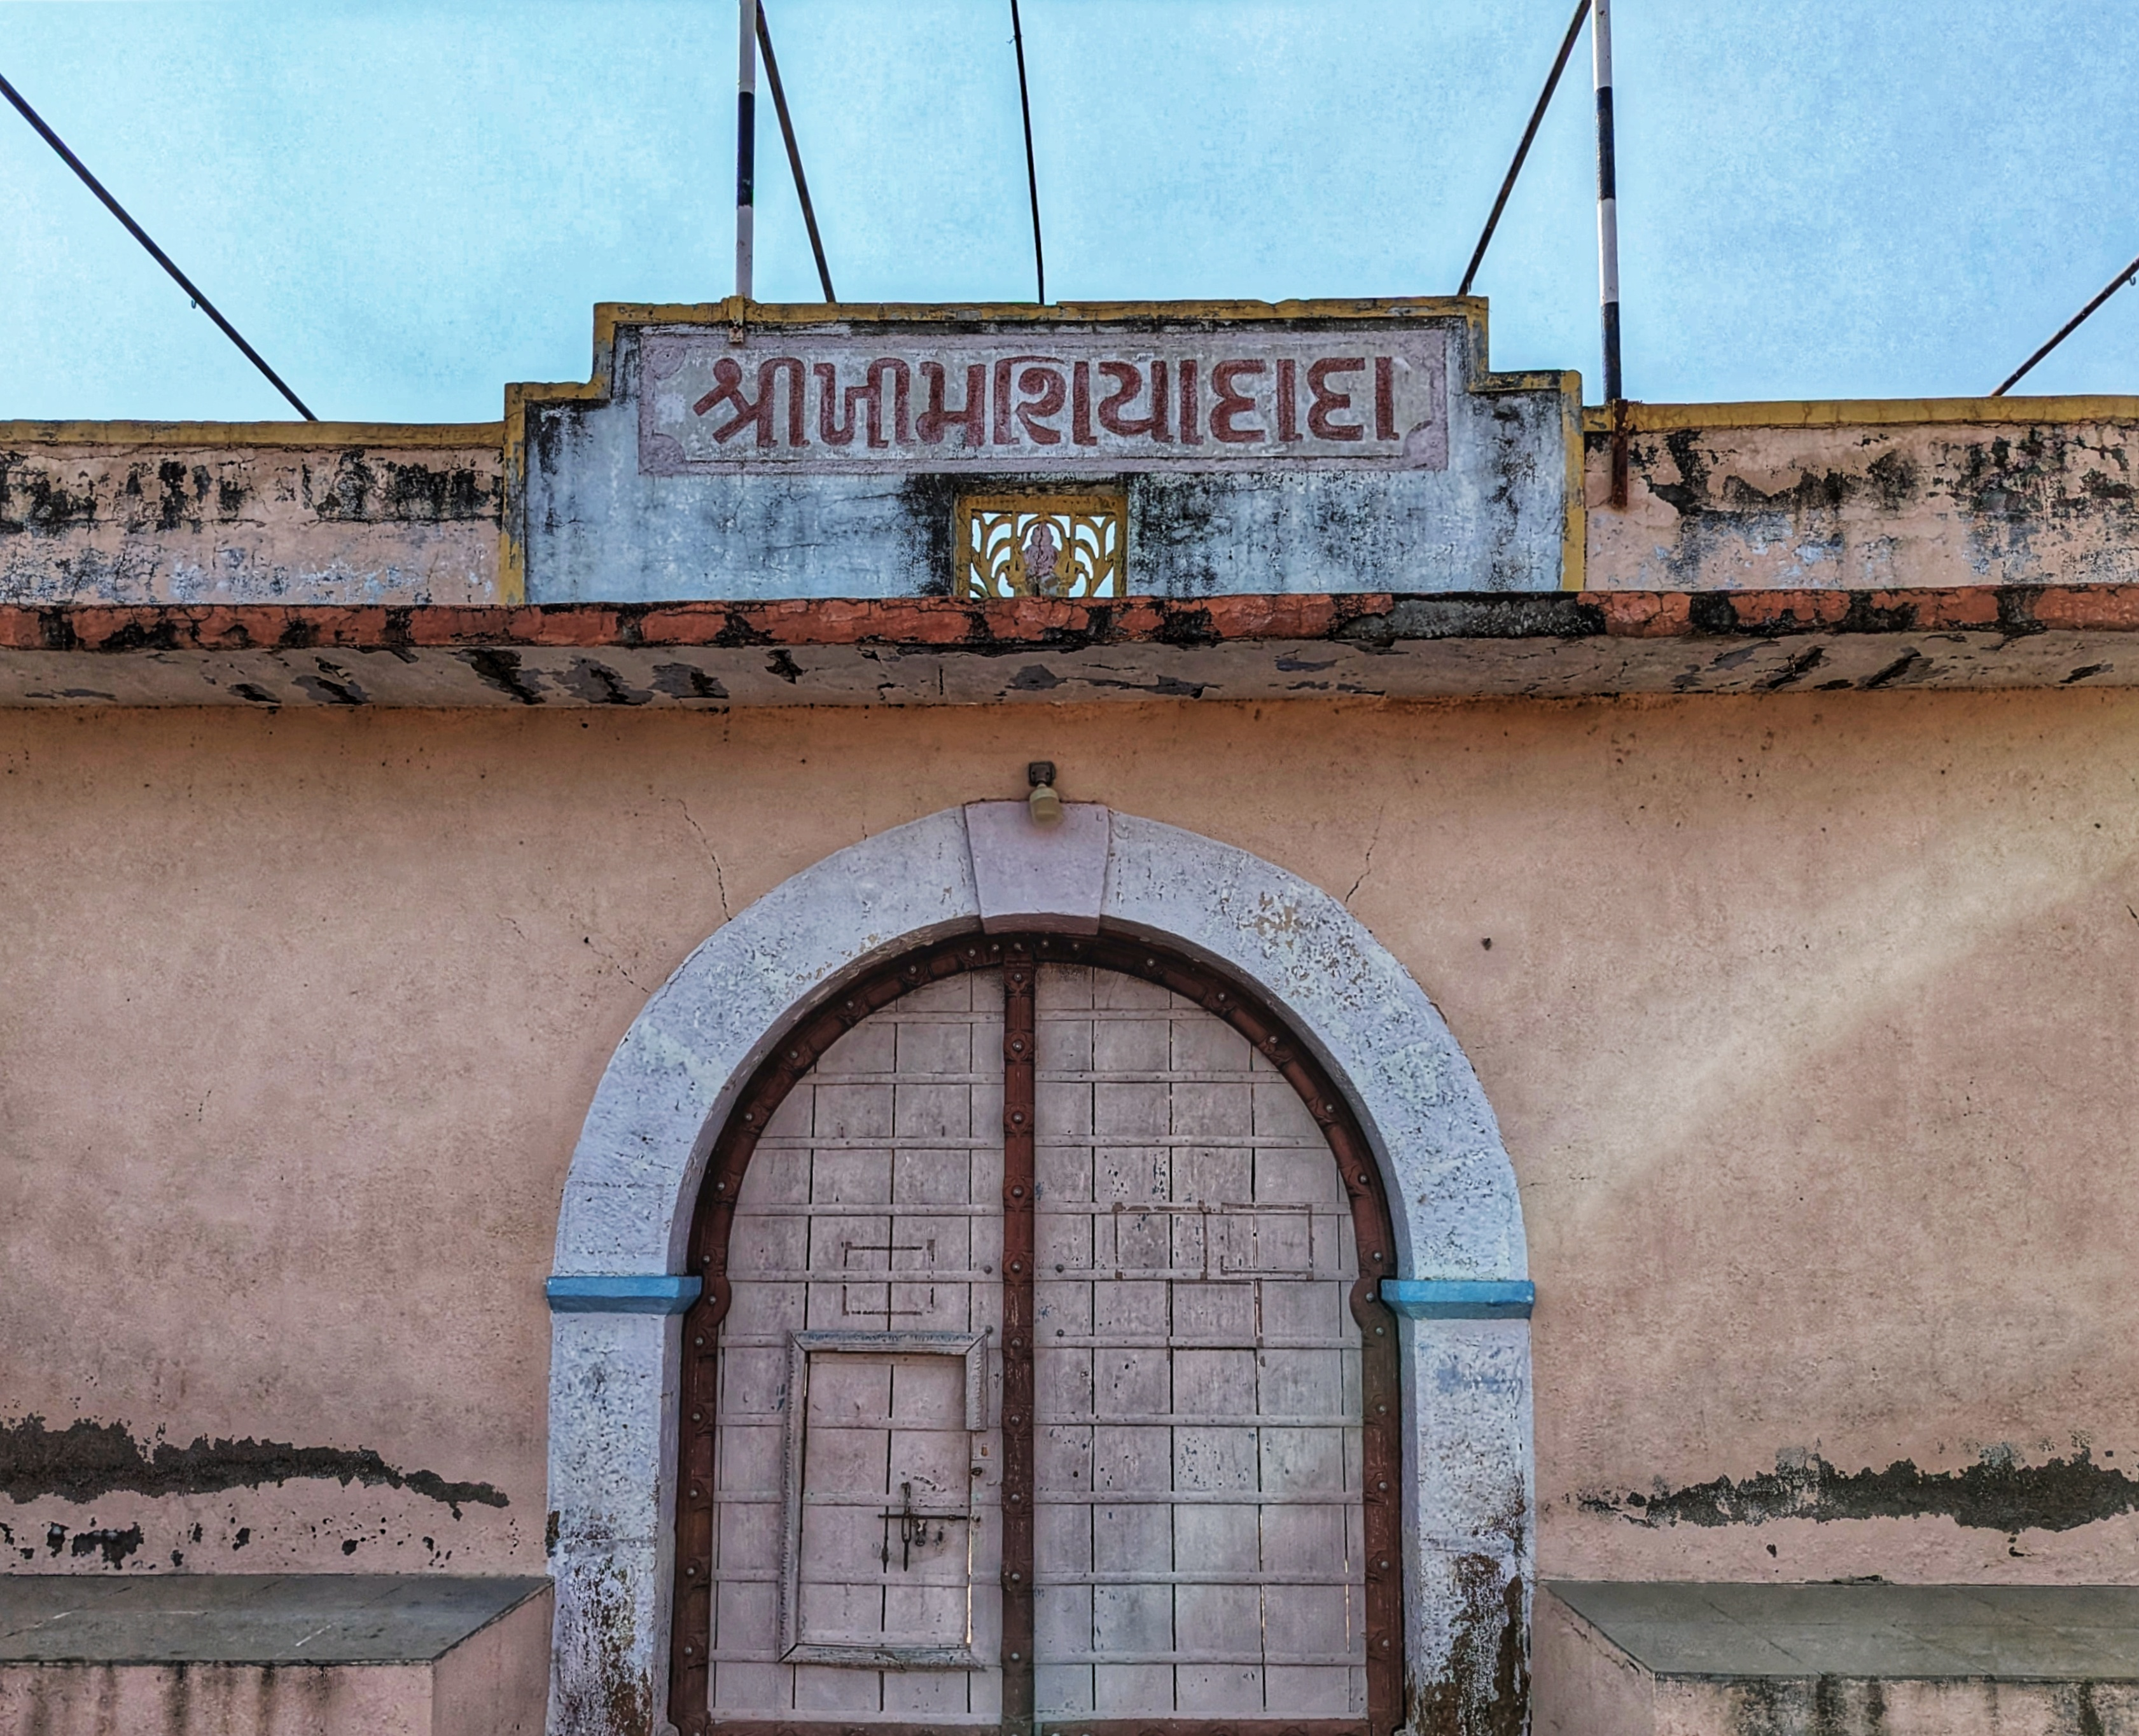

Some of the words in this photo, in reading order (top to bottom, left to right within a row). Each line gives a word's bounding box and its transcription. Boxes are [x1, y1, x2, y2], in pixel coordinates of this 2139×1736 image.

[682, 351, 815, 462] શ્રી
[809, 351, 917, 457] ખી
[912, 350, 1408, 454] મશયાદાદા